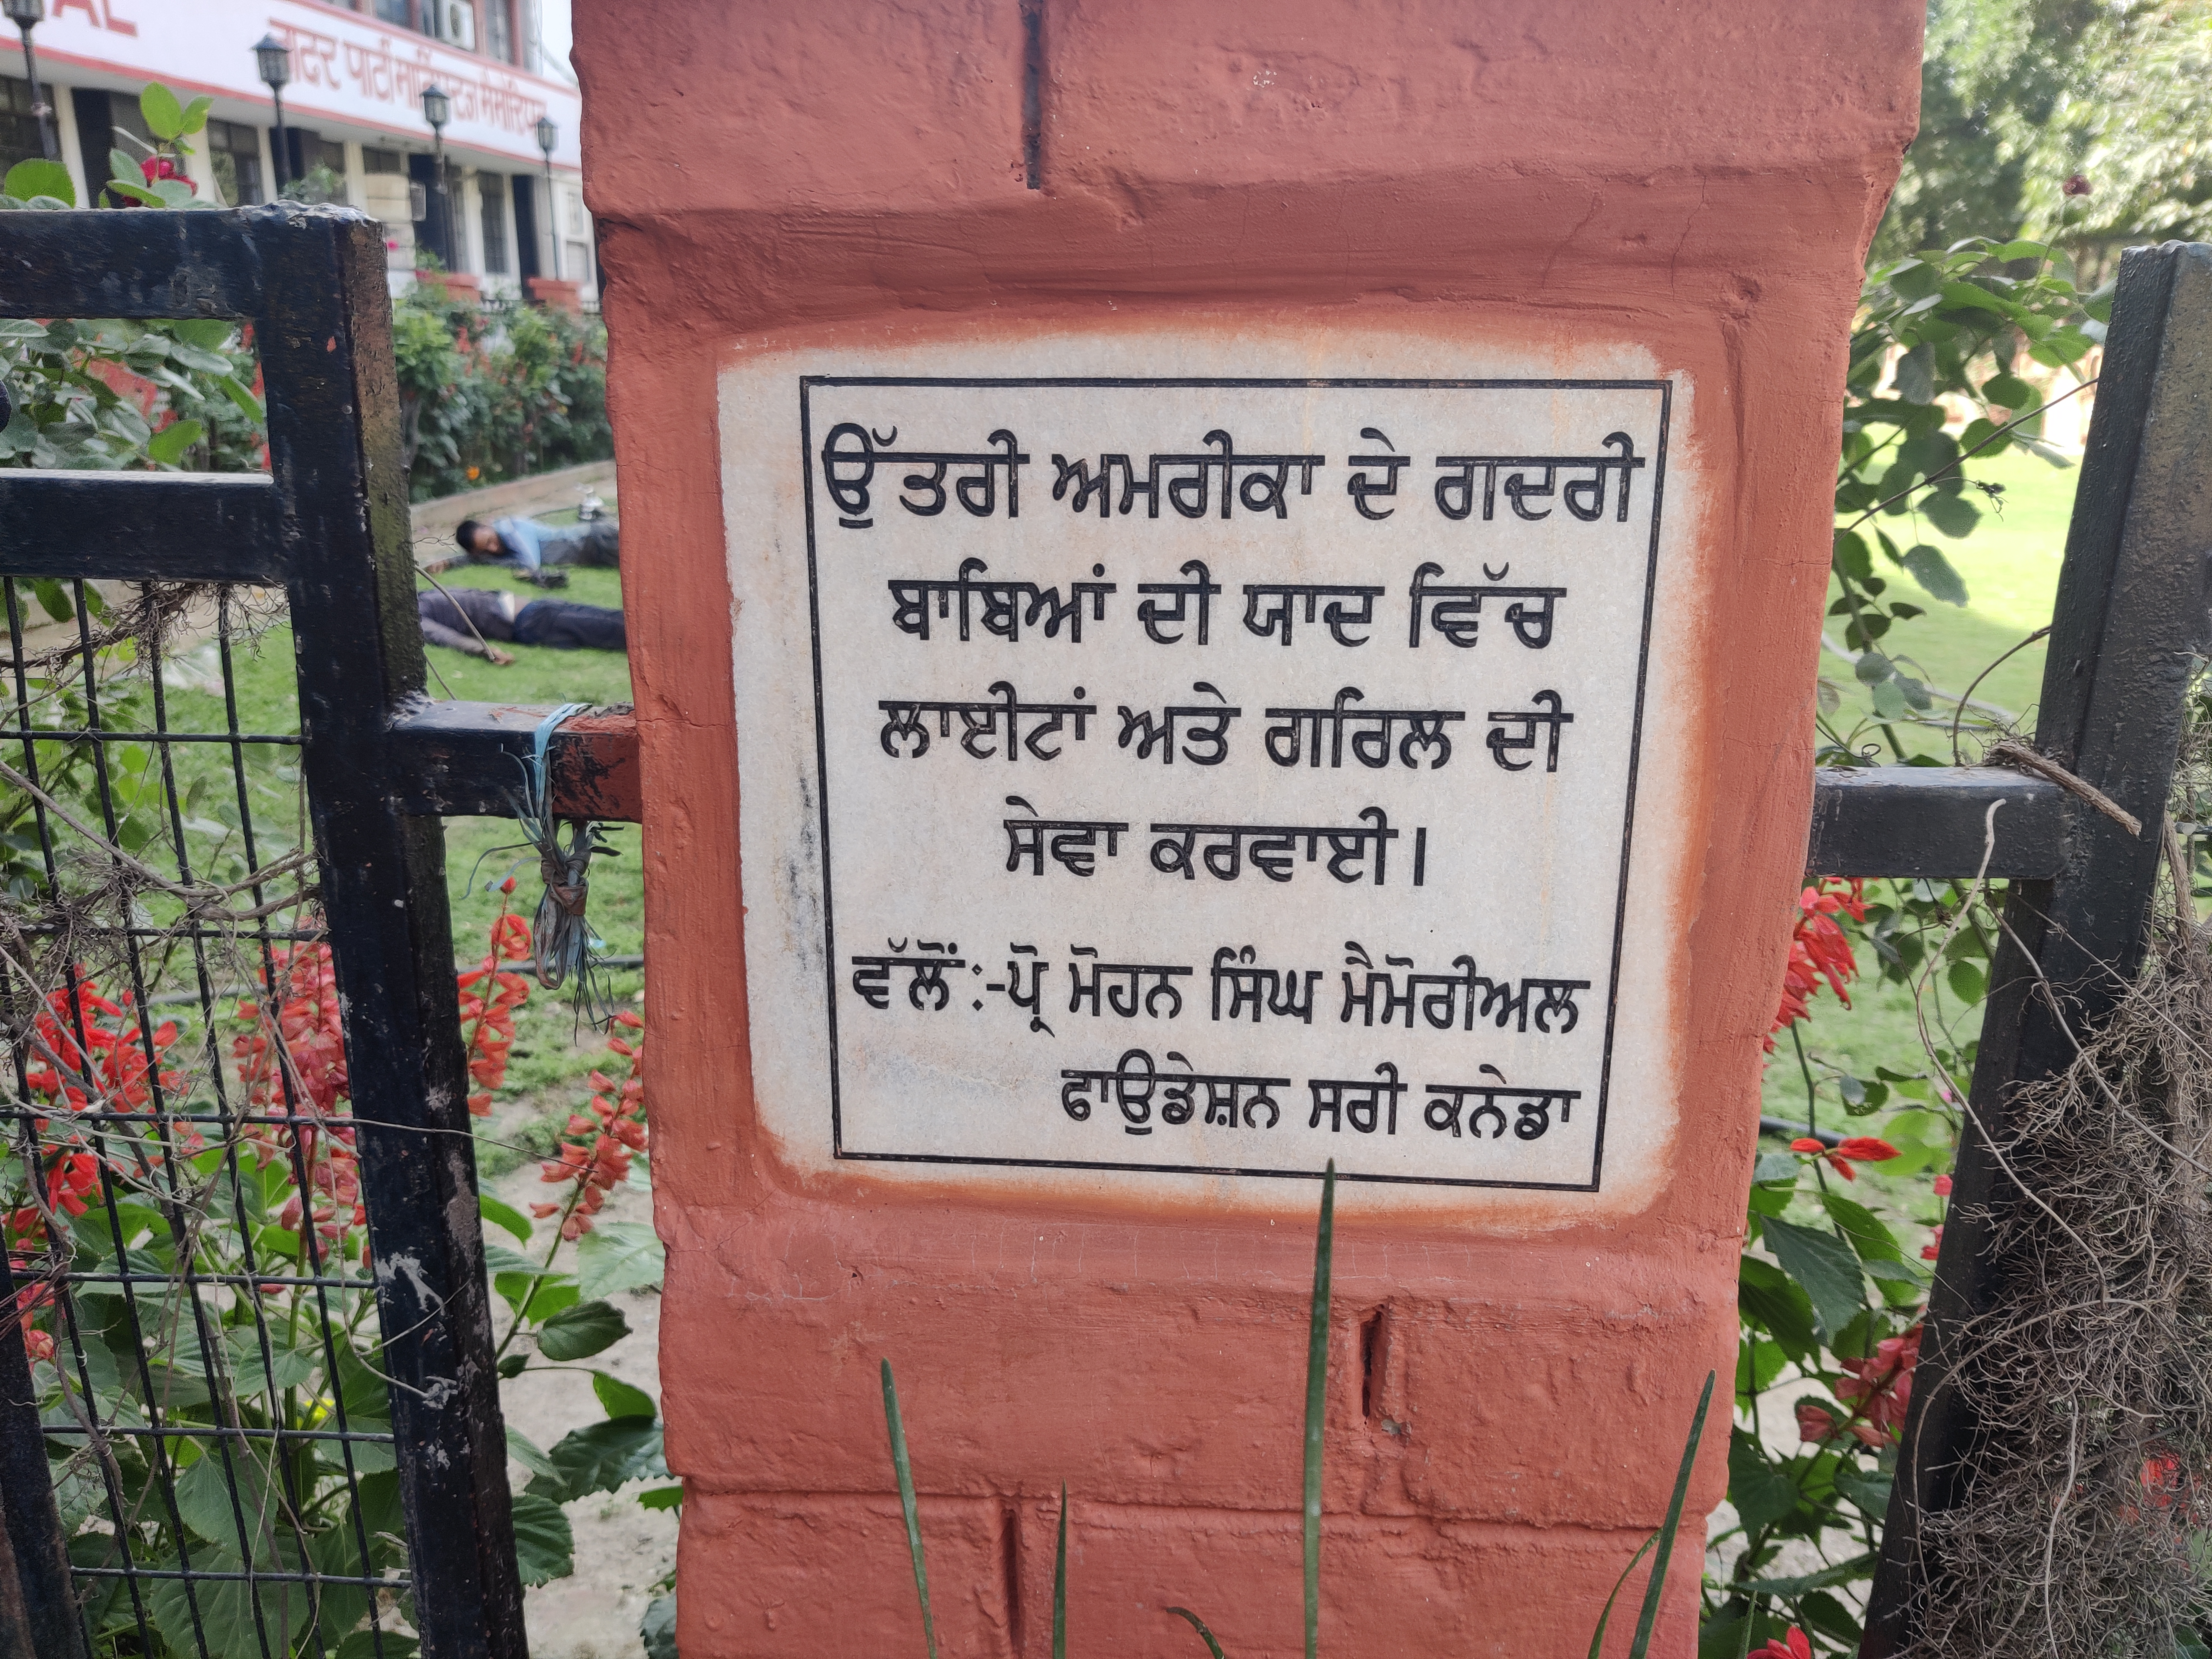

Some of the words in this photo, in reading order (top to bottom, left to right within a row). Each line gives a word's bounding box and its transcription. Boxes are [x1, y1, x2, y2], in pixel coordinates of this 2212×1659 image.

[342, 30, 397, 112] पार्टी
[815, 409, 1038, 541] ਉੱਤਰੀ
[1047, 422, 1337, 535] ਅਮਰੀਕਾ
[1336, 413, 1418, 534] ਦੇ
[1430, 427, 1651, 541] ਗਦਰੀ
[881, 548, 1117, 647] ਬਾਬਿਆਂ
[1121, 548, 1231, 658] ਦੀ
[1237, 580, 1389, 658] ਯਾਦ
[1398, 554, 1577, 661] ਵਿੱਚ
[857, 667, 1104, 783] ਲਾਈਟਾਂ
[1110, 675, 1251, 780] ਅਤੇ
[1254, 682, 1473, 780] ਗਰਿਲ
[1474, 681, 1583, 794] ਦੀ
[987, 787, 1134, 890] ਸੇਵਾ
[1141, 804, 1406, 895] ਕਰਵਾਈ
[842, 924, 971, 1025] ਵੱਲੋਂ
[999, 933, 1061, 1043] ਪ੍ਰੋ
[1060, 938, 1199, 1031] ਮੋਹਨ
[1200, 933, 1329, 1035] ਸਿੰਘ
[1336, 932, 1597, 1044] ਮੈਮੋਰੀਅਲ
[1051, 1046, 1297, 1147] ਫਾਉਡੇਸ਼ਨ
[1298, 1060, 1409, 1145] ਸਰੀ
[1418, 1061, 1588, 1151] ਕਨੇਡਾ